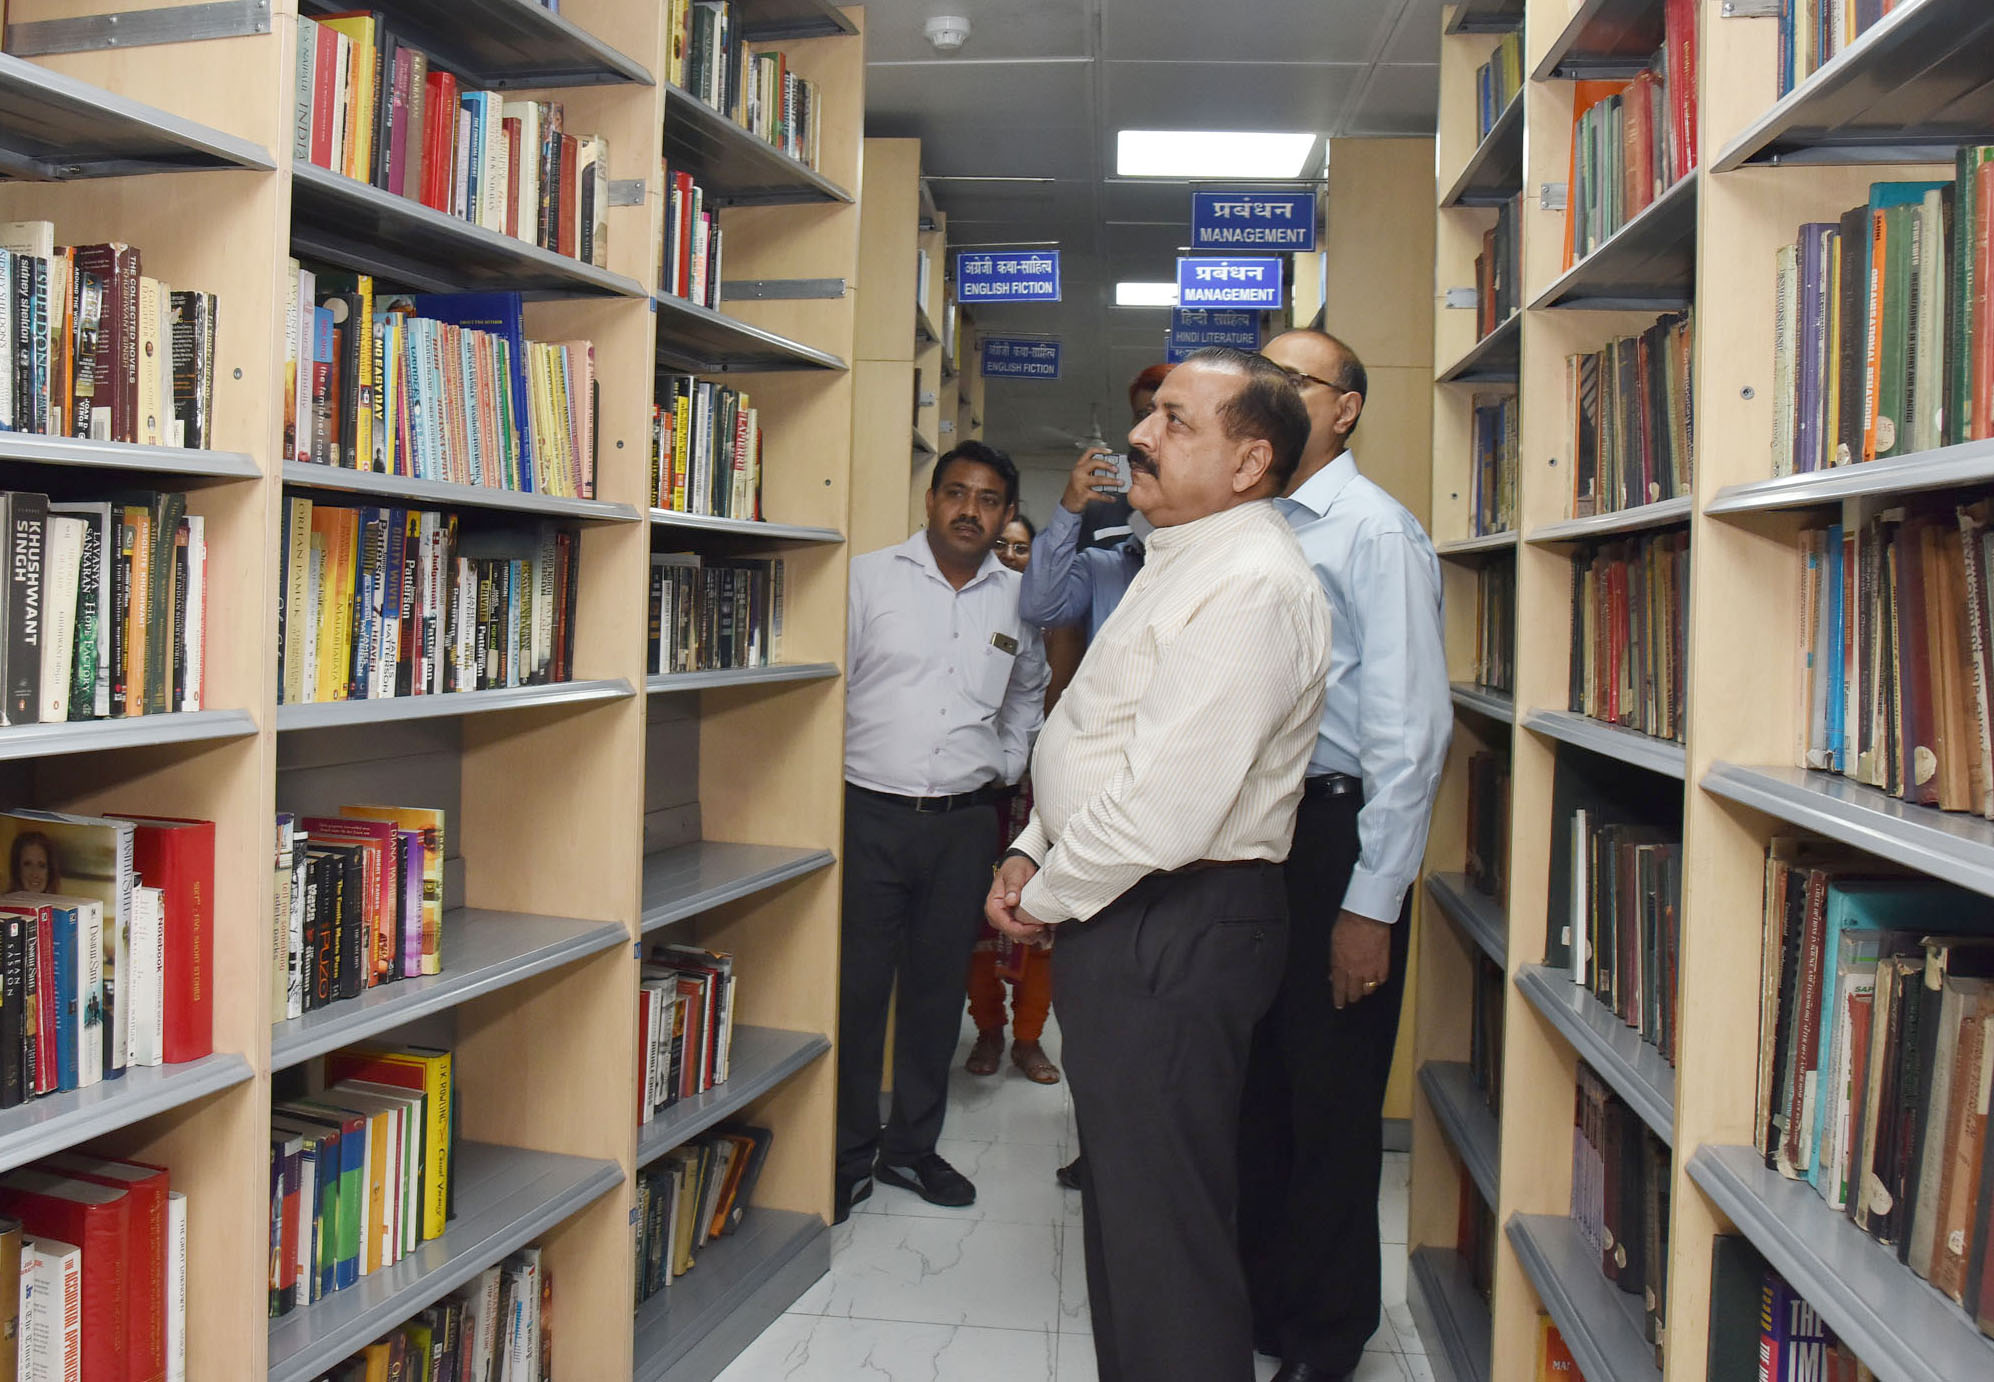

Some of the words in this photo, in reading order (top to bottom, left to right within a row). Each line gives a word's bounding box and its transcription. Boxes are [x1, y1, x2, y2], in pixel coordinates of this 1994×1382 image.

[1213, 193, 1300, 221] प्रबंधन
[1196, 225, 1308, 247] MANAGEMENT
[961, 251, 997, 279] अग्रेजी
[992, 257, 1021, 280] कथा-
[1019, 251, 1055, 279] साहित्य
[1193, 256, 1269, 283] प्रबंधन
[960, 279, 1013, 300] ENGLISH
[1010, 279, 1056, 299] FICTION
[1181, 285, 1278, 304] MANAGEMENT
[1174, 305, 1211, 329] हिन्दी
[1212, 304, 1252, 329] साहित्य
[985, 336, 1013, 361] अग्रेजी
[1009, 343, 1031, 361] कवा-
[1027, 339, 1059, 364] साहित्य
[1171, 327, 1203, 347] HINDI
[1197, 329, 1257, 347] LITERATURE